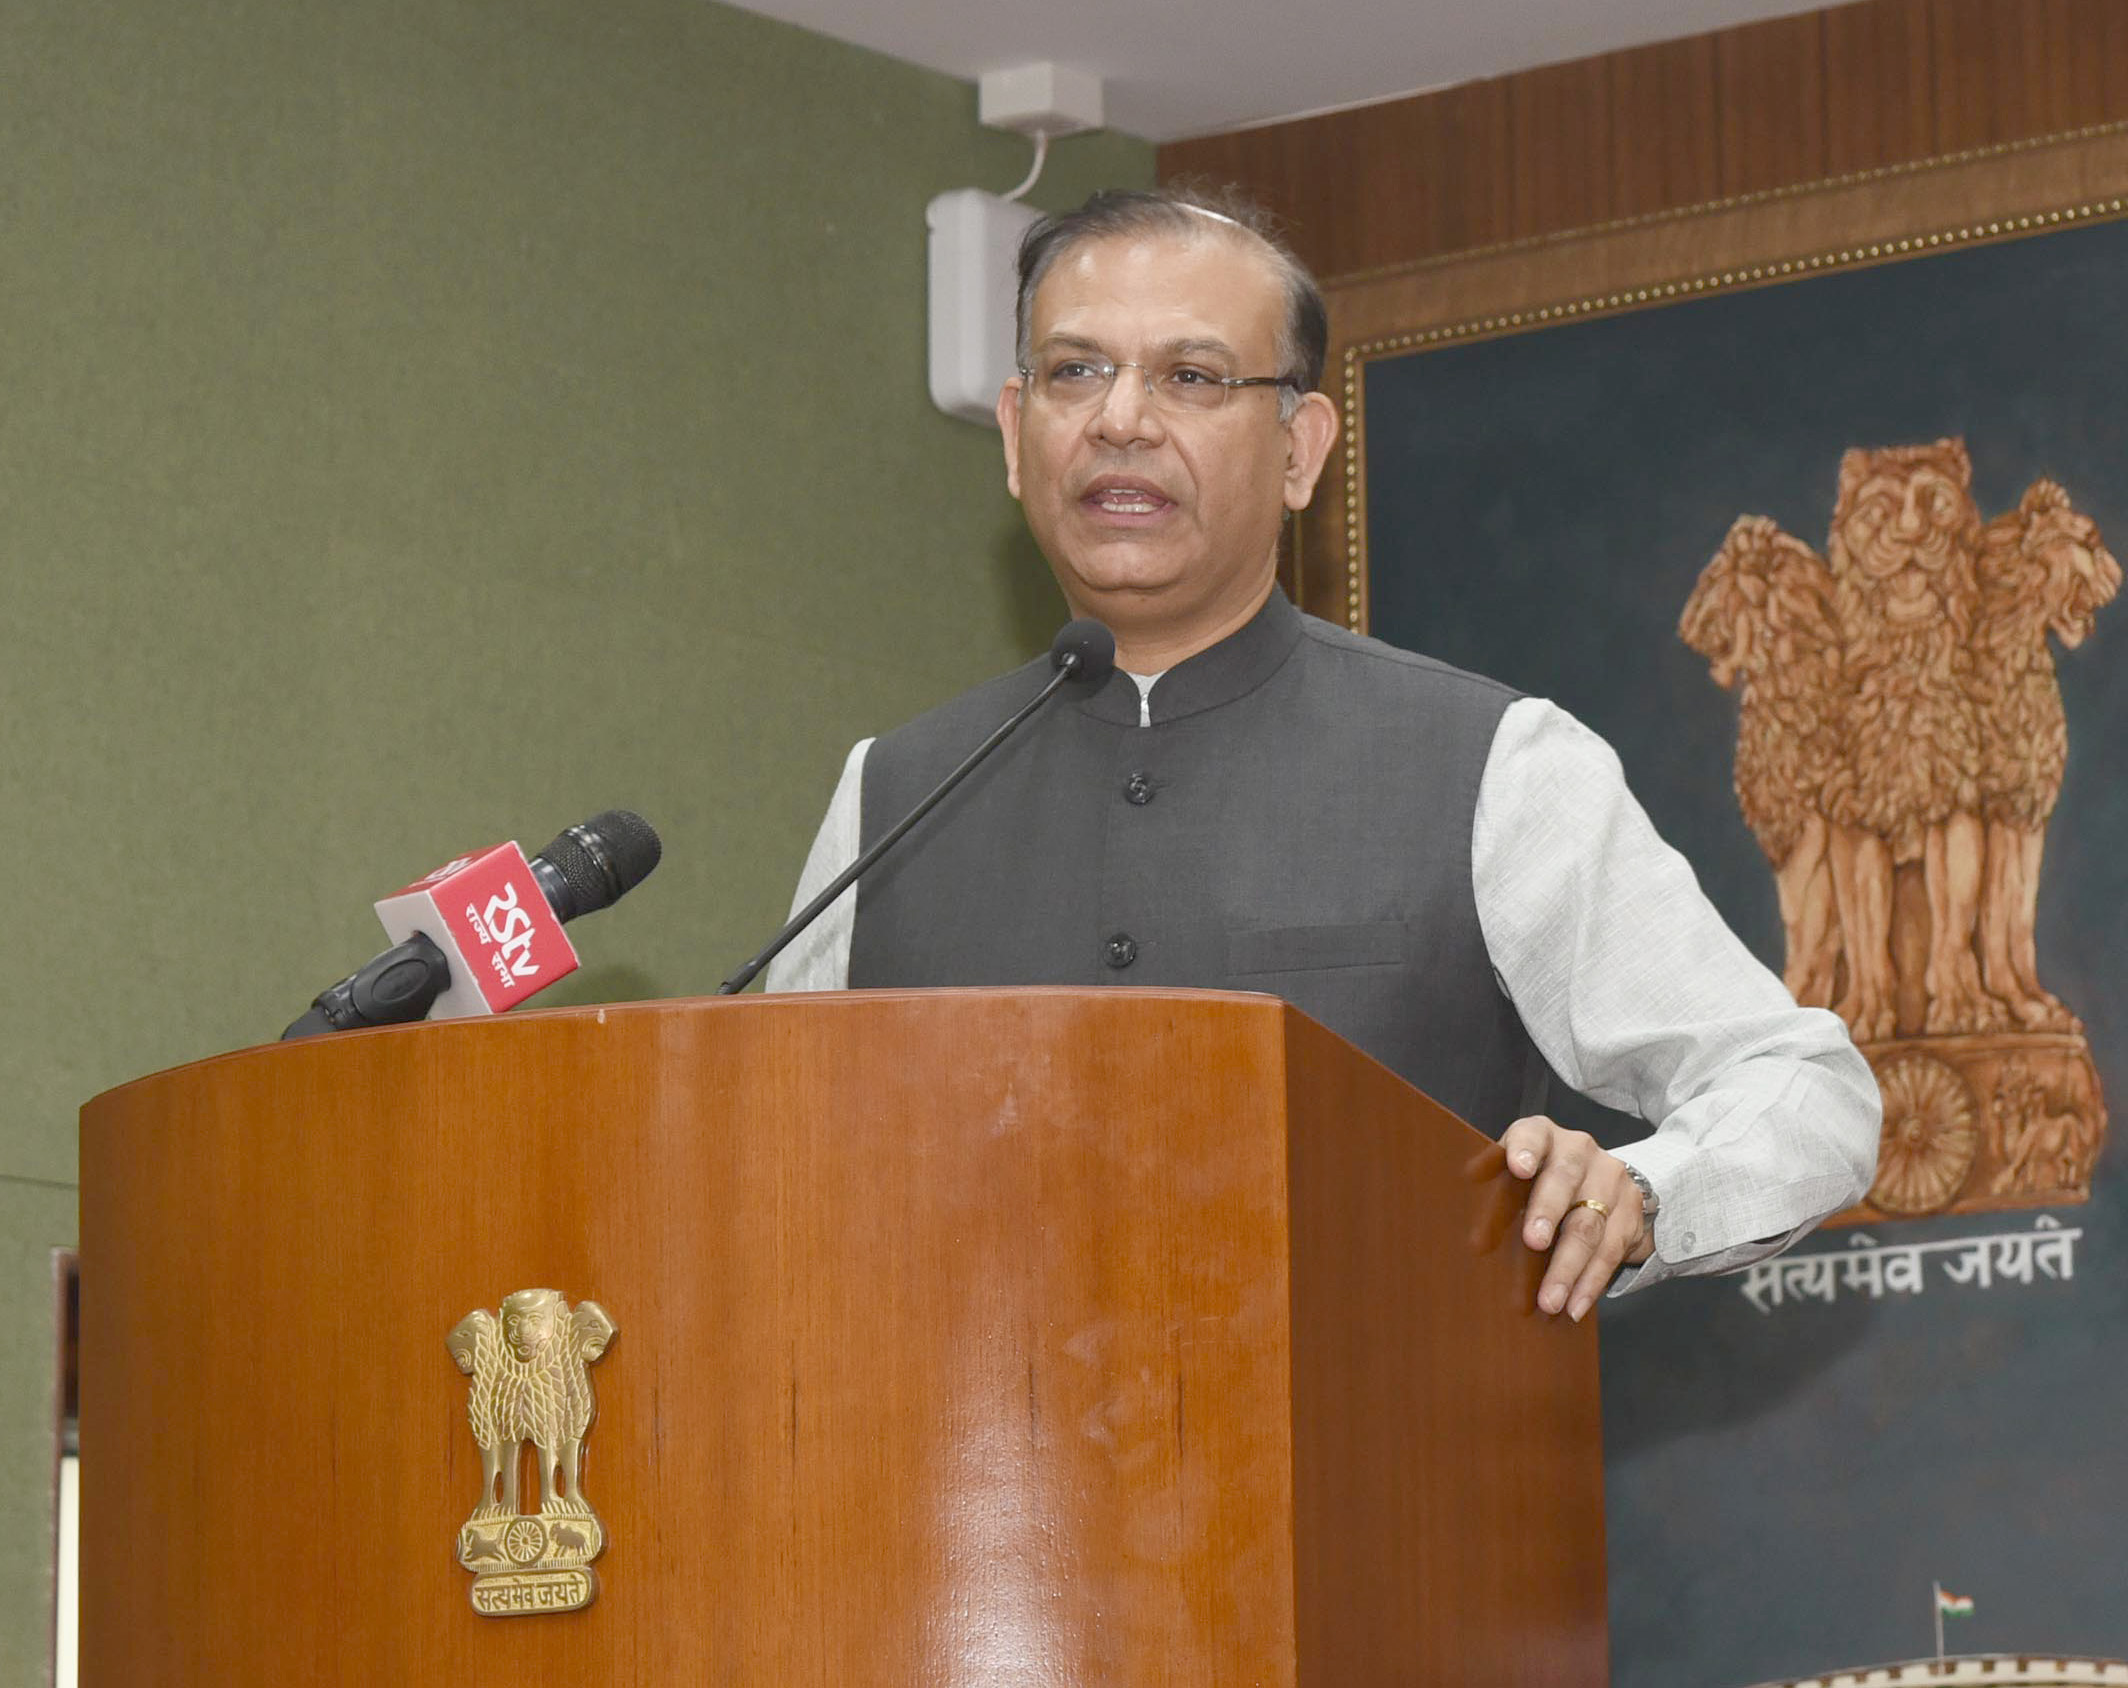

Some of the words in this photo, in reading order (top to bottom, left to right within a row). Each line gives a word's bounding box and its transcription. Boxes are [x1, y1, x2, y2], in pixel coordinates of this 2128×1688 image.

[461, 902, 493, 946] राज्य
[488, 947, 518, 992] सभा
[1736, 1226, 1927, 1314] सत्यमेव
[1926, 1209, 2083, 1289] जयते
[473, 1575, 537, 1612] सत्यमेव
[534, 1571, 585, 1607] जयते